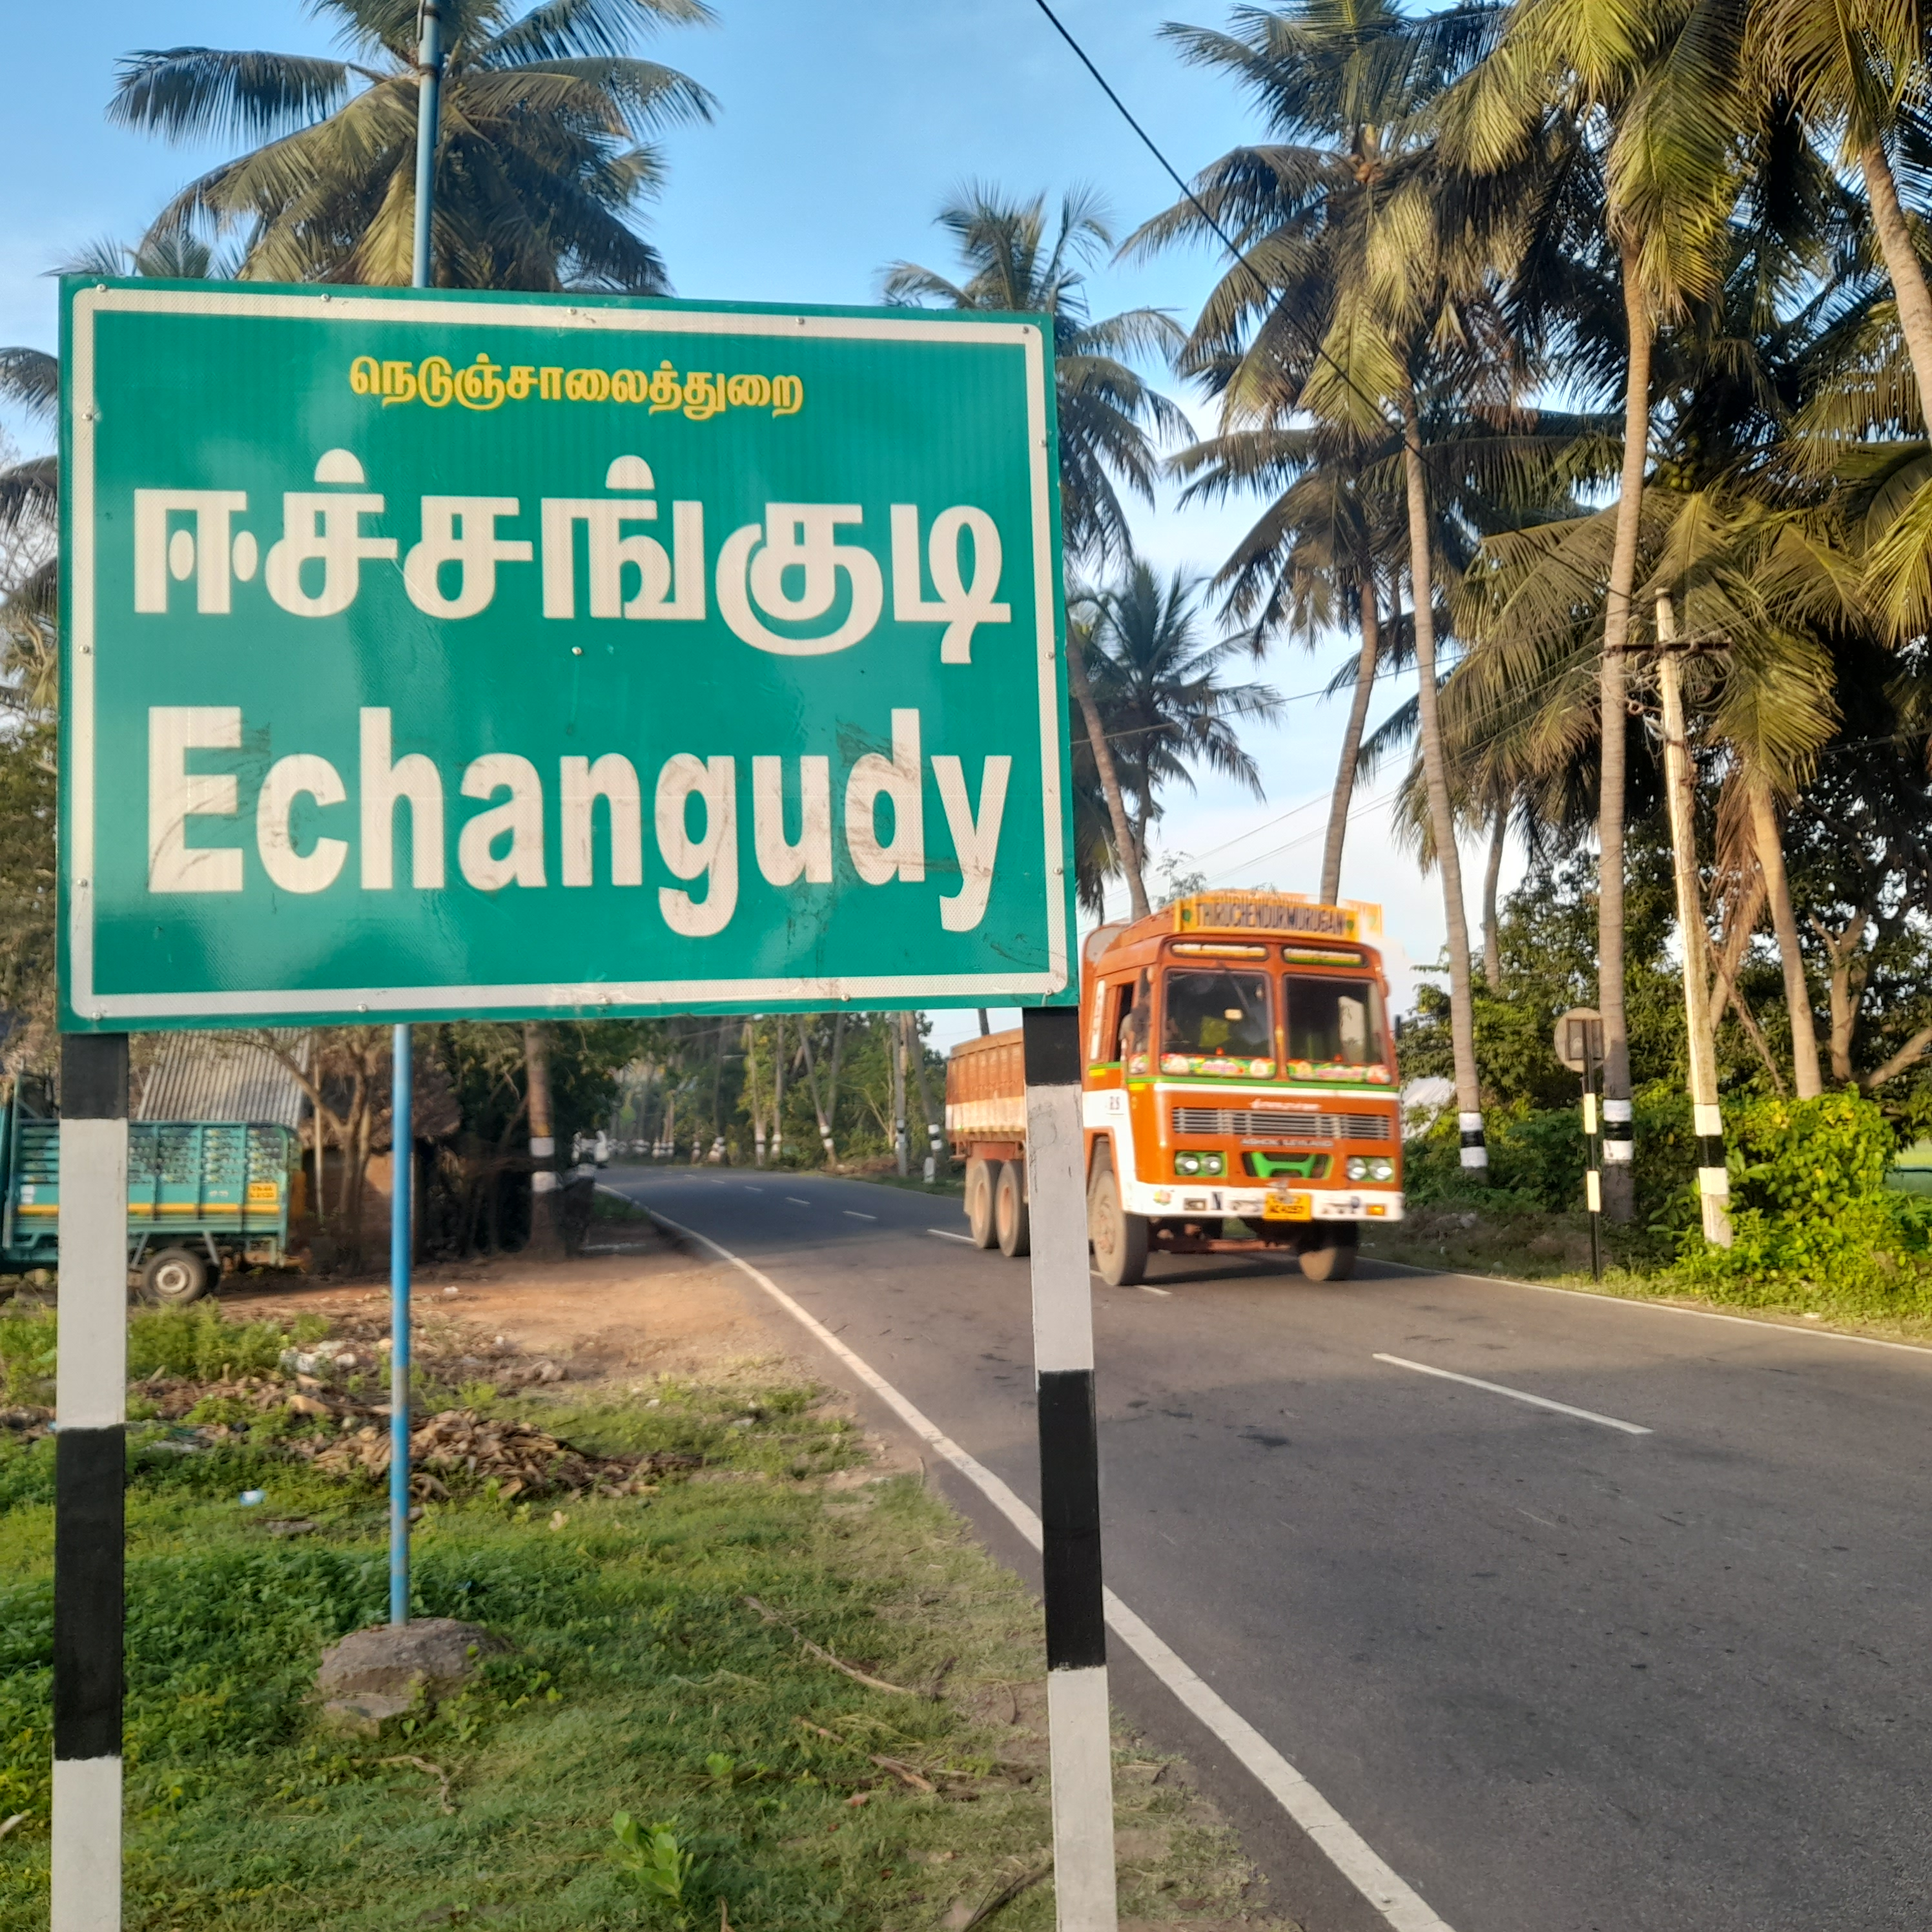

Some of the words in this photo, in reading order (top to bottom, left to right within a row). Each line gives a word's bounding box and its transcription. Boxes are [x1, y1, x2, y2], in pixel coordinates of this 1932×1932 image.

[344, 349, 807, 424] நெடுஞ்சாலைத்துறை
[129, 434, 1016, 670] ஈச்சங்குடி
[144, 696, 1014, 942] Echangudy